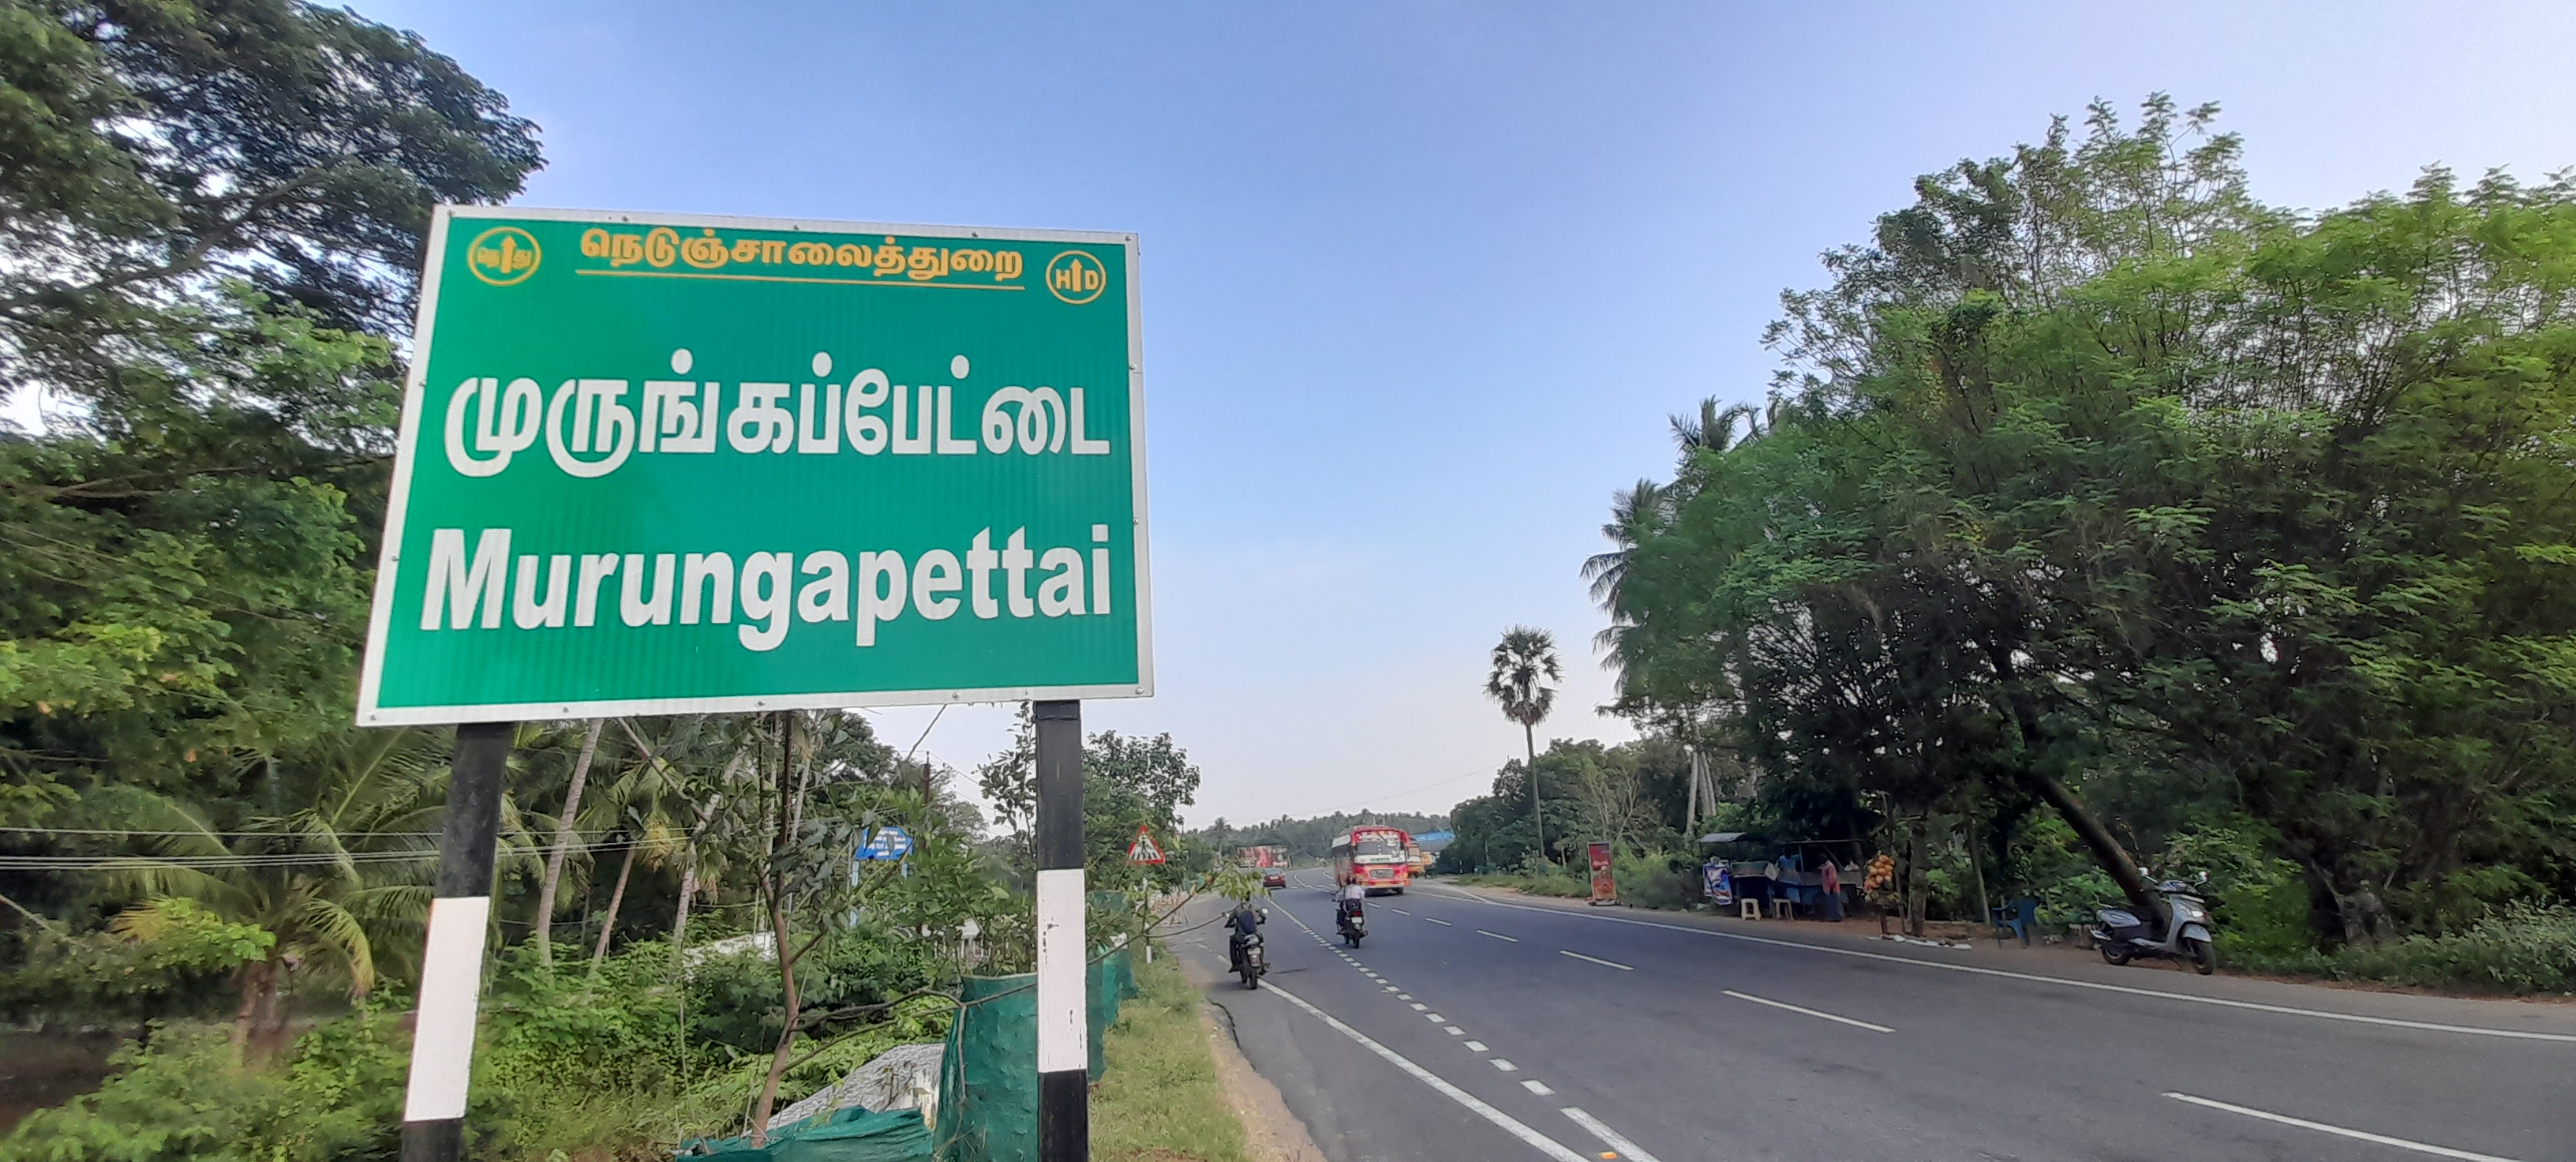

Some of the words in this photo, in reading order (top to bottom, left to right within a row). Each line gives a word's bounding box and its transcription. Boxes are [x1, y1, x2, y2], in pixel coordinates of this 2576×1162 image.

[571, 224, 1026, 283] நெடுஞ்சாலைத்துறை
[436, 343, 1116, 483] முருங்கப்பேட்டை
[415, 521, 1118, 655] Murungapettai